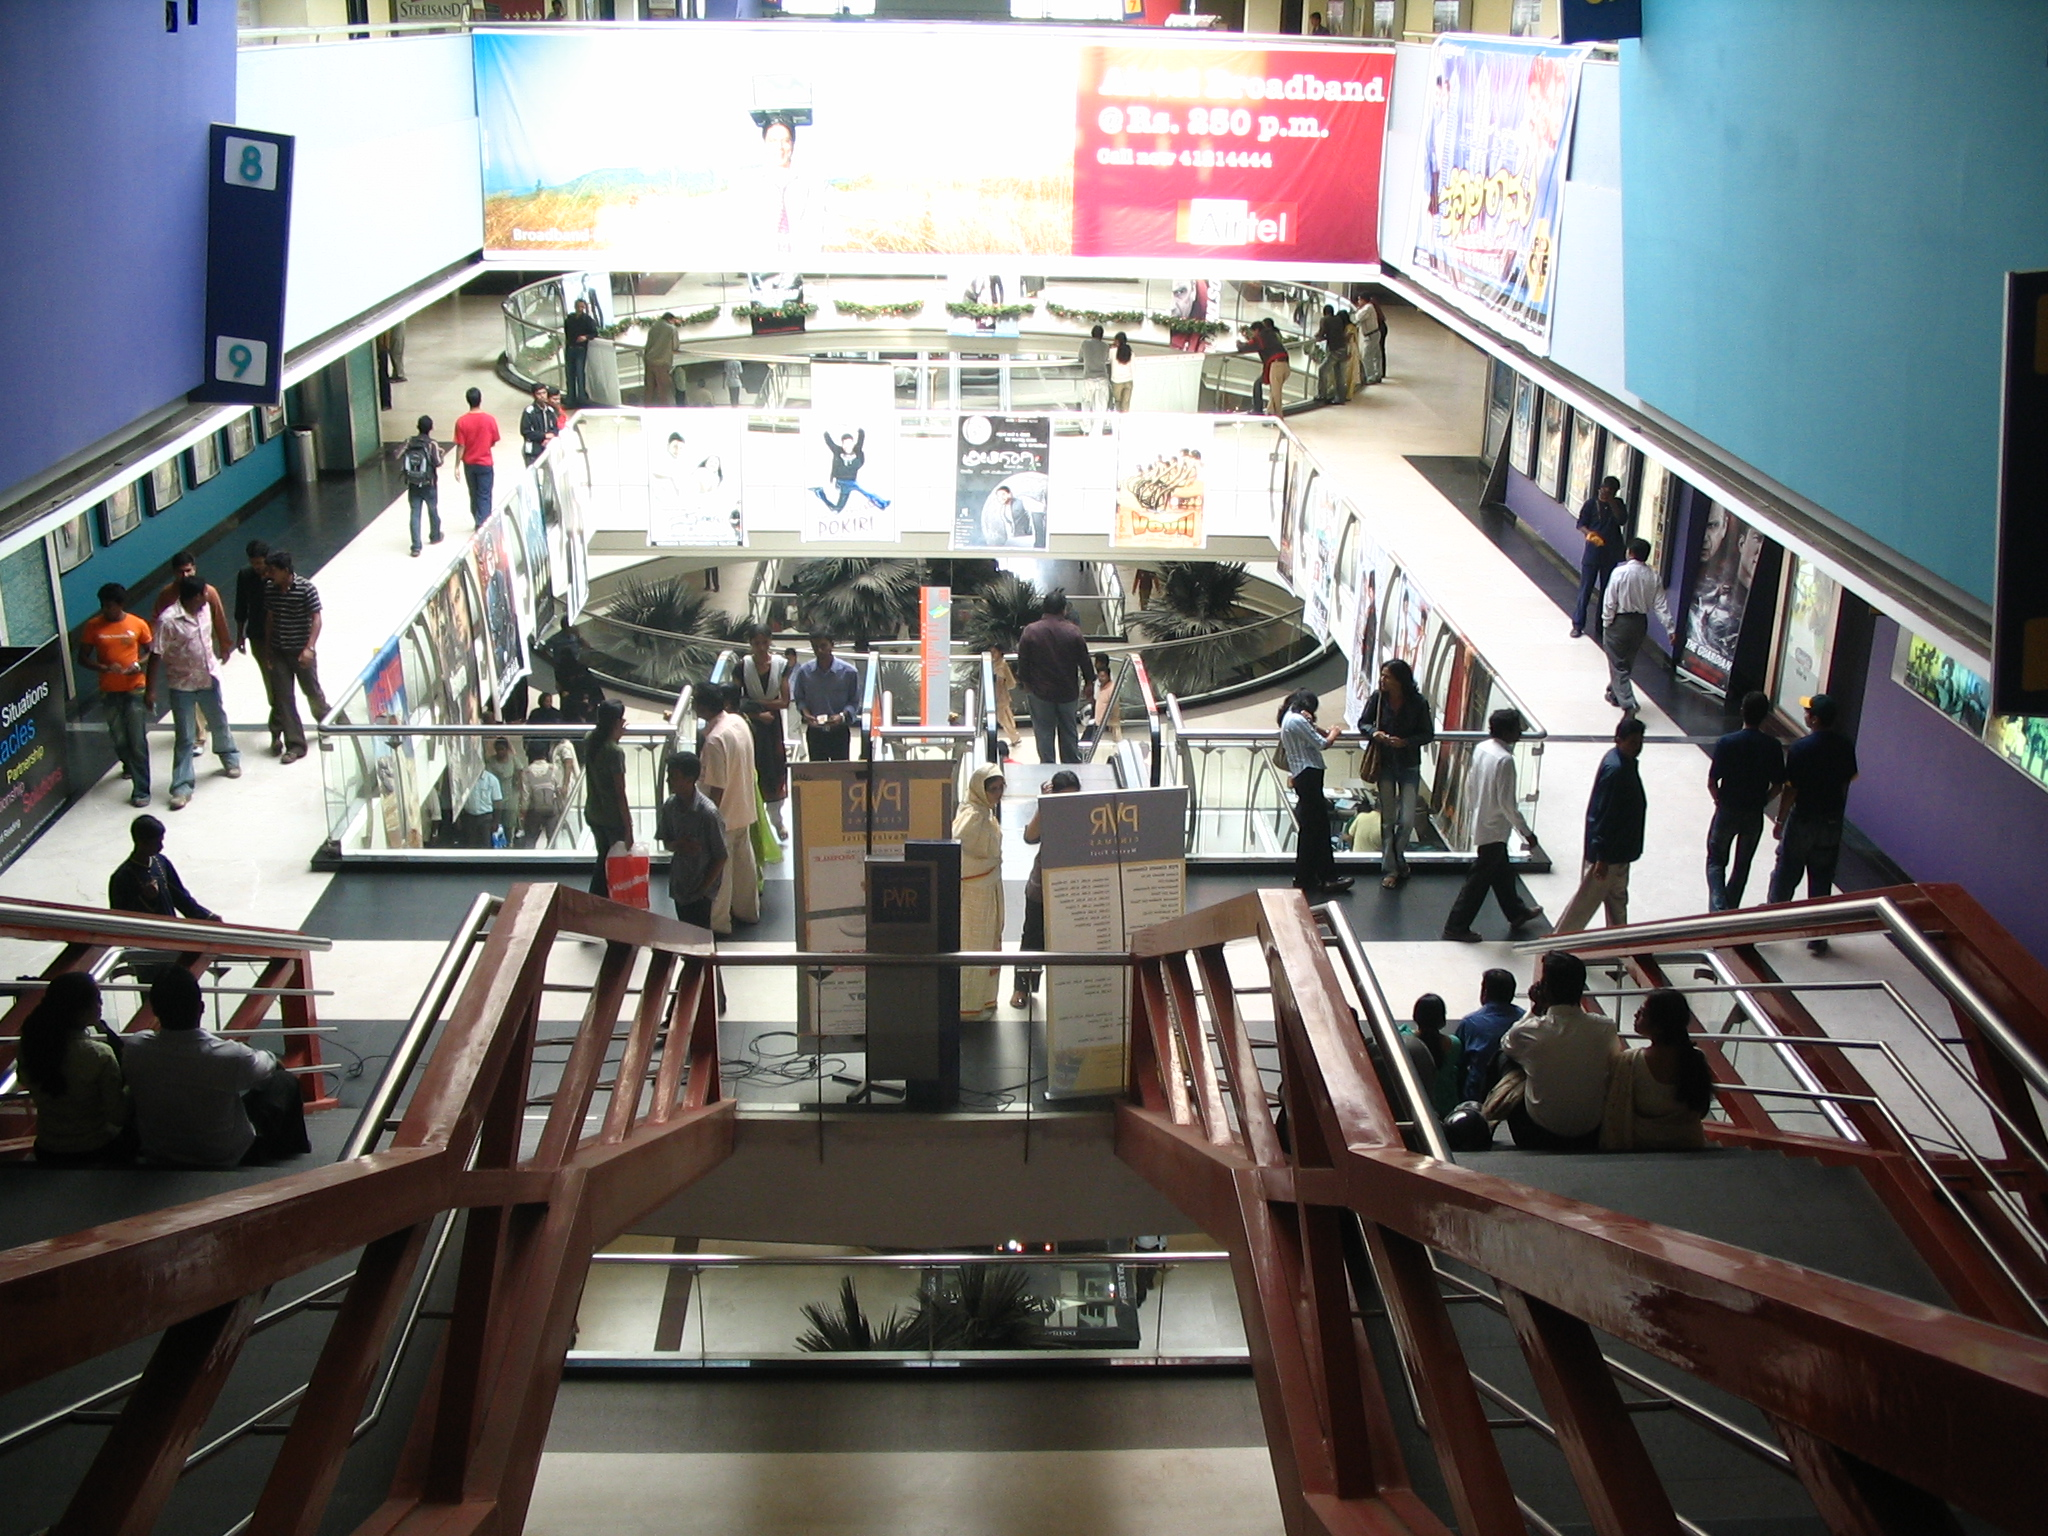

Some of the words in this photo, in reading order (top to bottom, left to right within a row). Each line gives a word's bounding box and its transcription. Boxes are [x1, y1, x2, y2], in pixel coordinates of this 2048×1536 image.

[1201, 56, 1391, 105] Broadband
[1093, 92, 1185, 140] @Rs.
[1182, 103, 1257, 141] 250
[1255, 105, 1332, 146] p.m.
[1091, 143, 1137, 170] Call
[1191, 203, 1292, 247] Airtel
[1, 677, 54, 733] Situations
[3, 739, 49, 789] Partnership